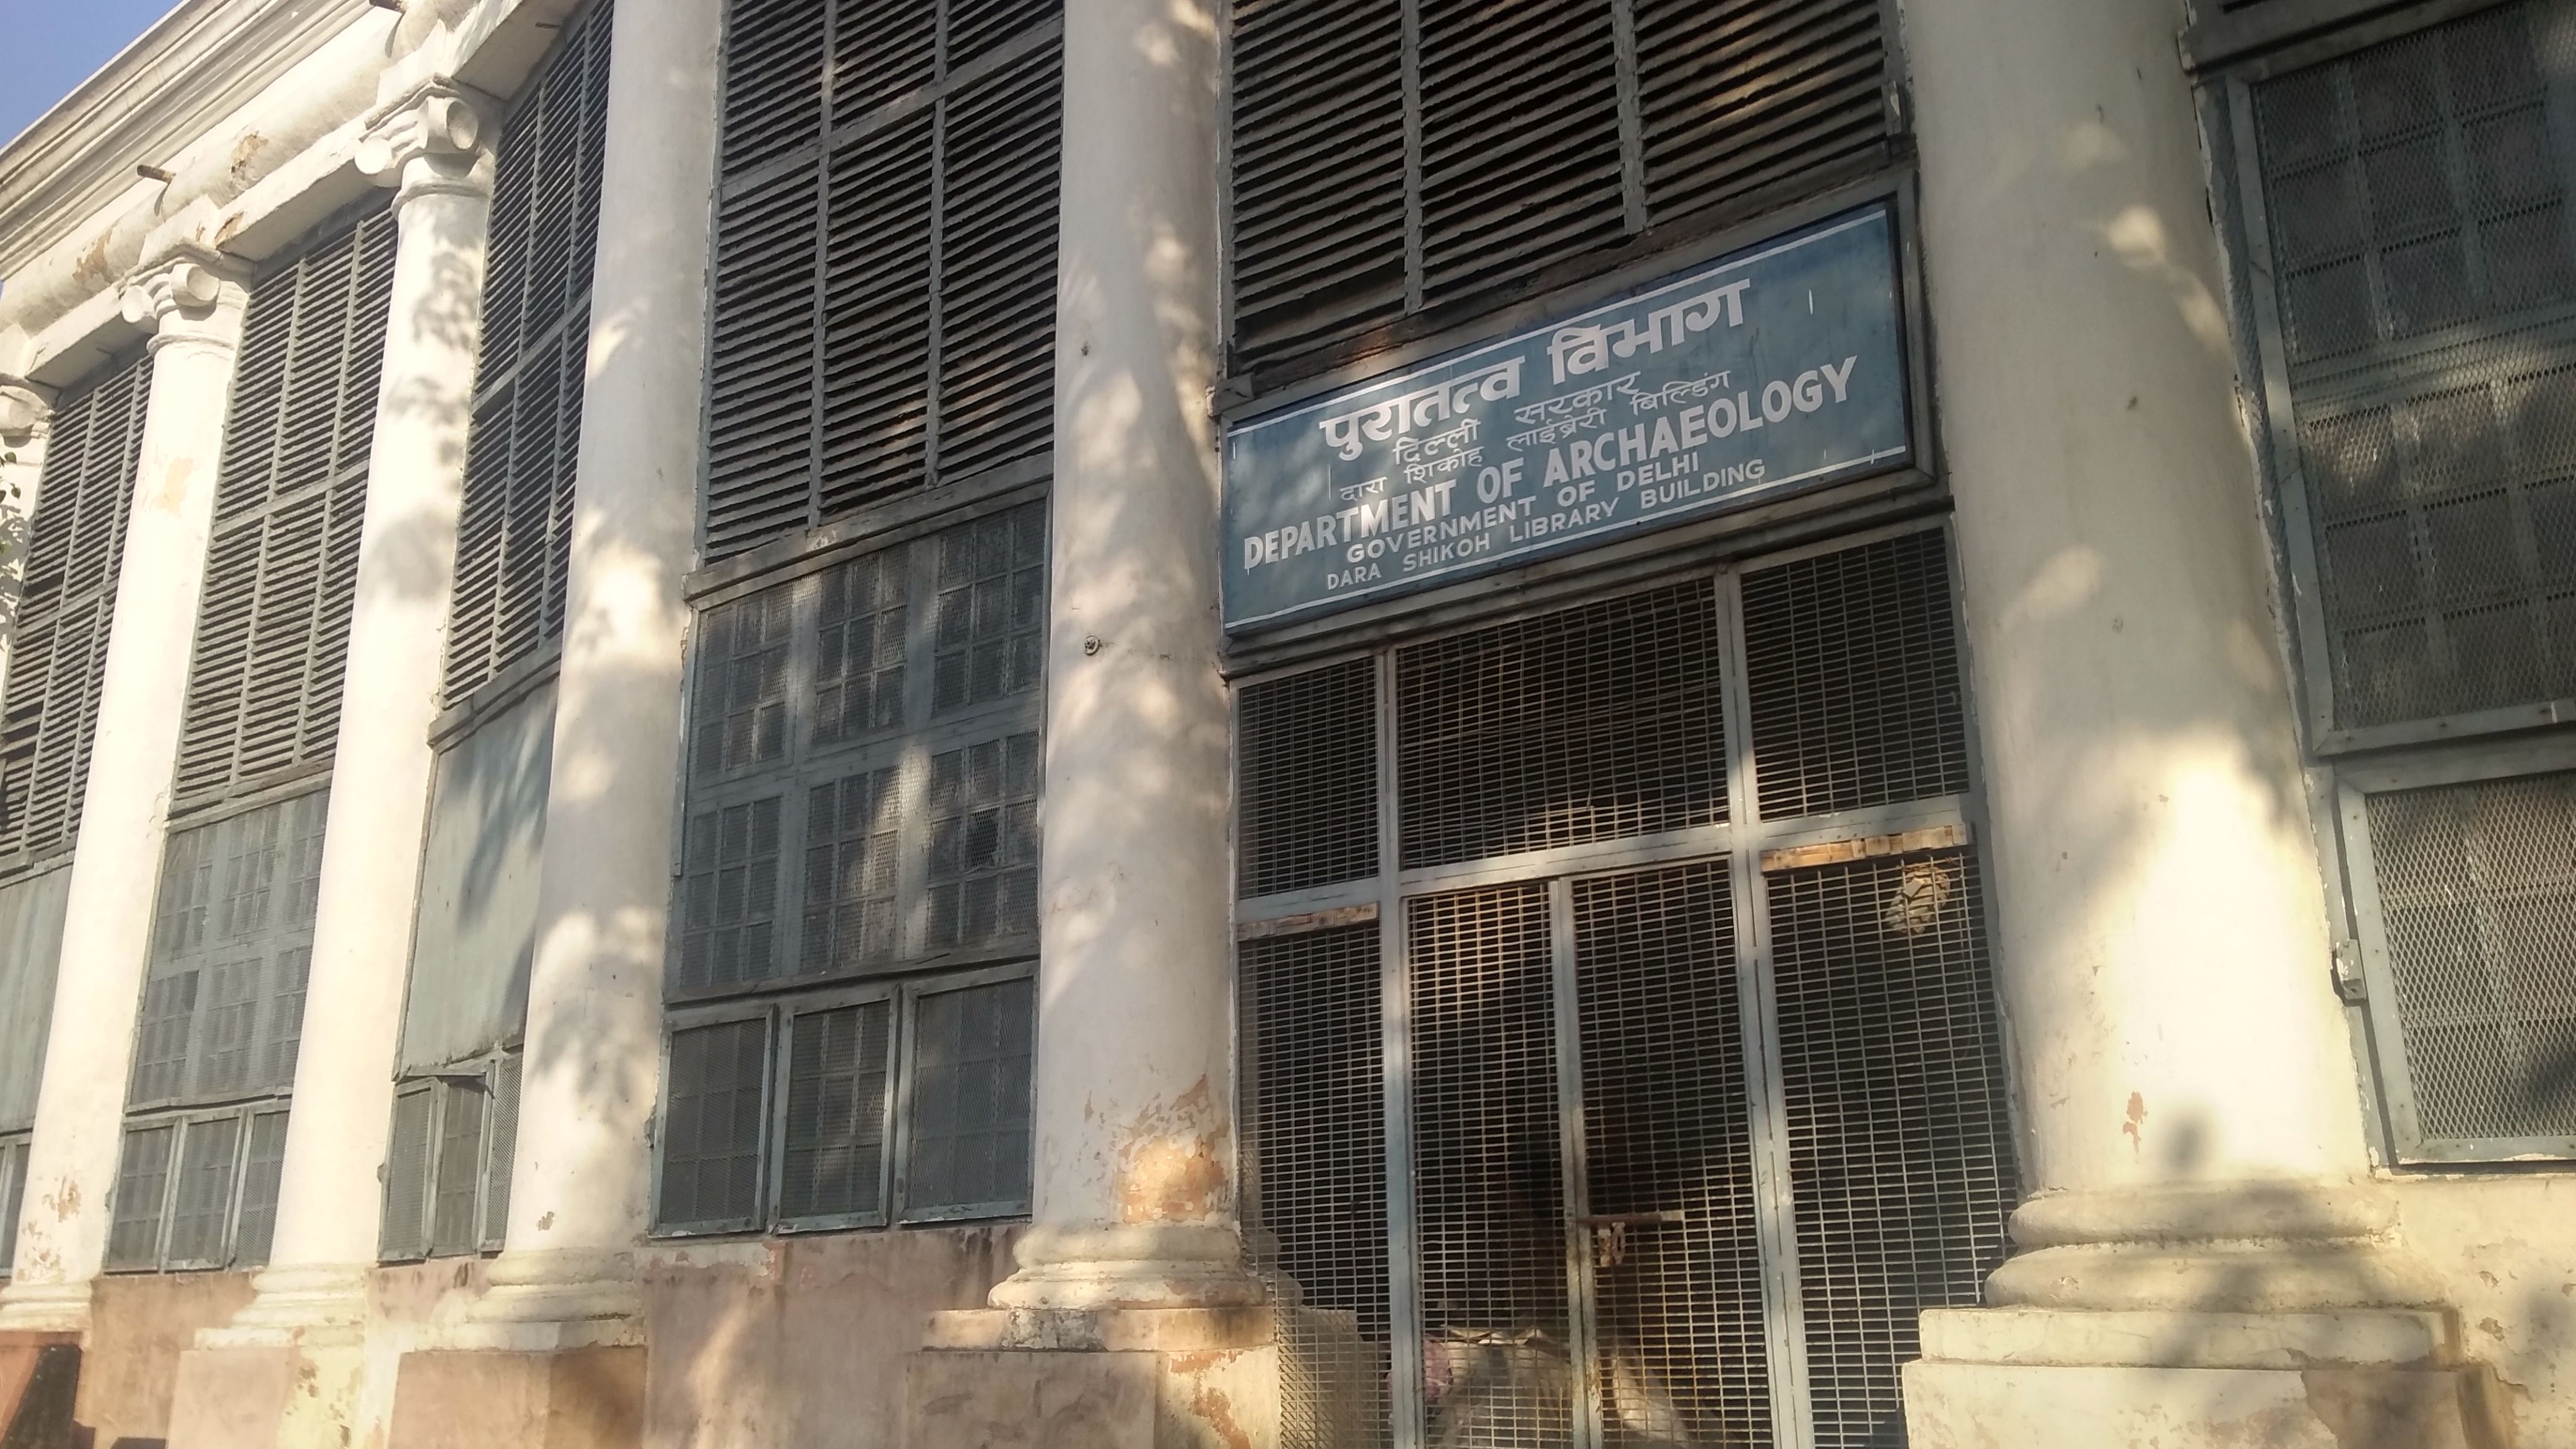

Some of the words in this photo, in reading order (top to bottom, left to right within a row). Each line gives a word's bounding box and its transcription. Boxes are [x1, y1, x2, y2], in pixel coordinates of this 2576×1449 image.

[1541, 273, 1754, 388] विभाग
[1240, 476, 1460, 576] DEPARTMENT
[1320, 559, 1384, 594] DARA
[1337, 475, 1388, 508] दारा
[1316, 350, 1528, 466] पुरातत्व
[1390, 413, 1483, 469] दिल्ली
[1344, 494, 1538, 566] GOVERNMENT
[1400, 445, 1487, 487] शिकोह
[1401, 531, 1495, 575] SHIKOH
[1473, 455, 1526, 508] OF
[1504, 403, 1609, 456] लाईब्रेरी
[1509, 497, 1622, 547] LIBRARY
[1554, 478, 1597, 513] OF
[1510, 367, 1643, 429] सरकार
[1614, 449, 1702, 496] DELHI
[1625, 367, 1734, 420] बिल्डिंग
[1543, 354, 1859, 490] ARCHAEOLOGY
[1638, 455, 1768, 512] BUILDING